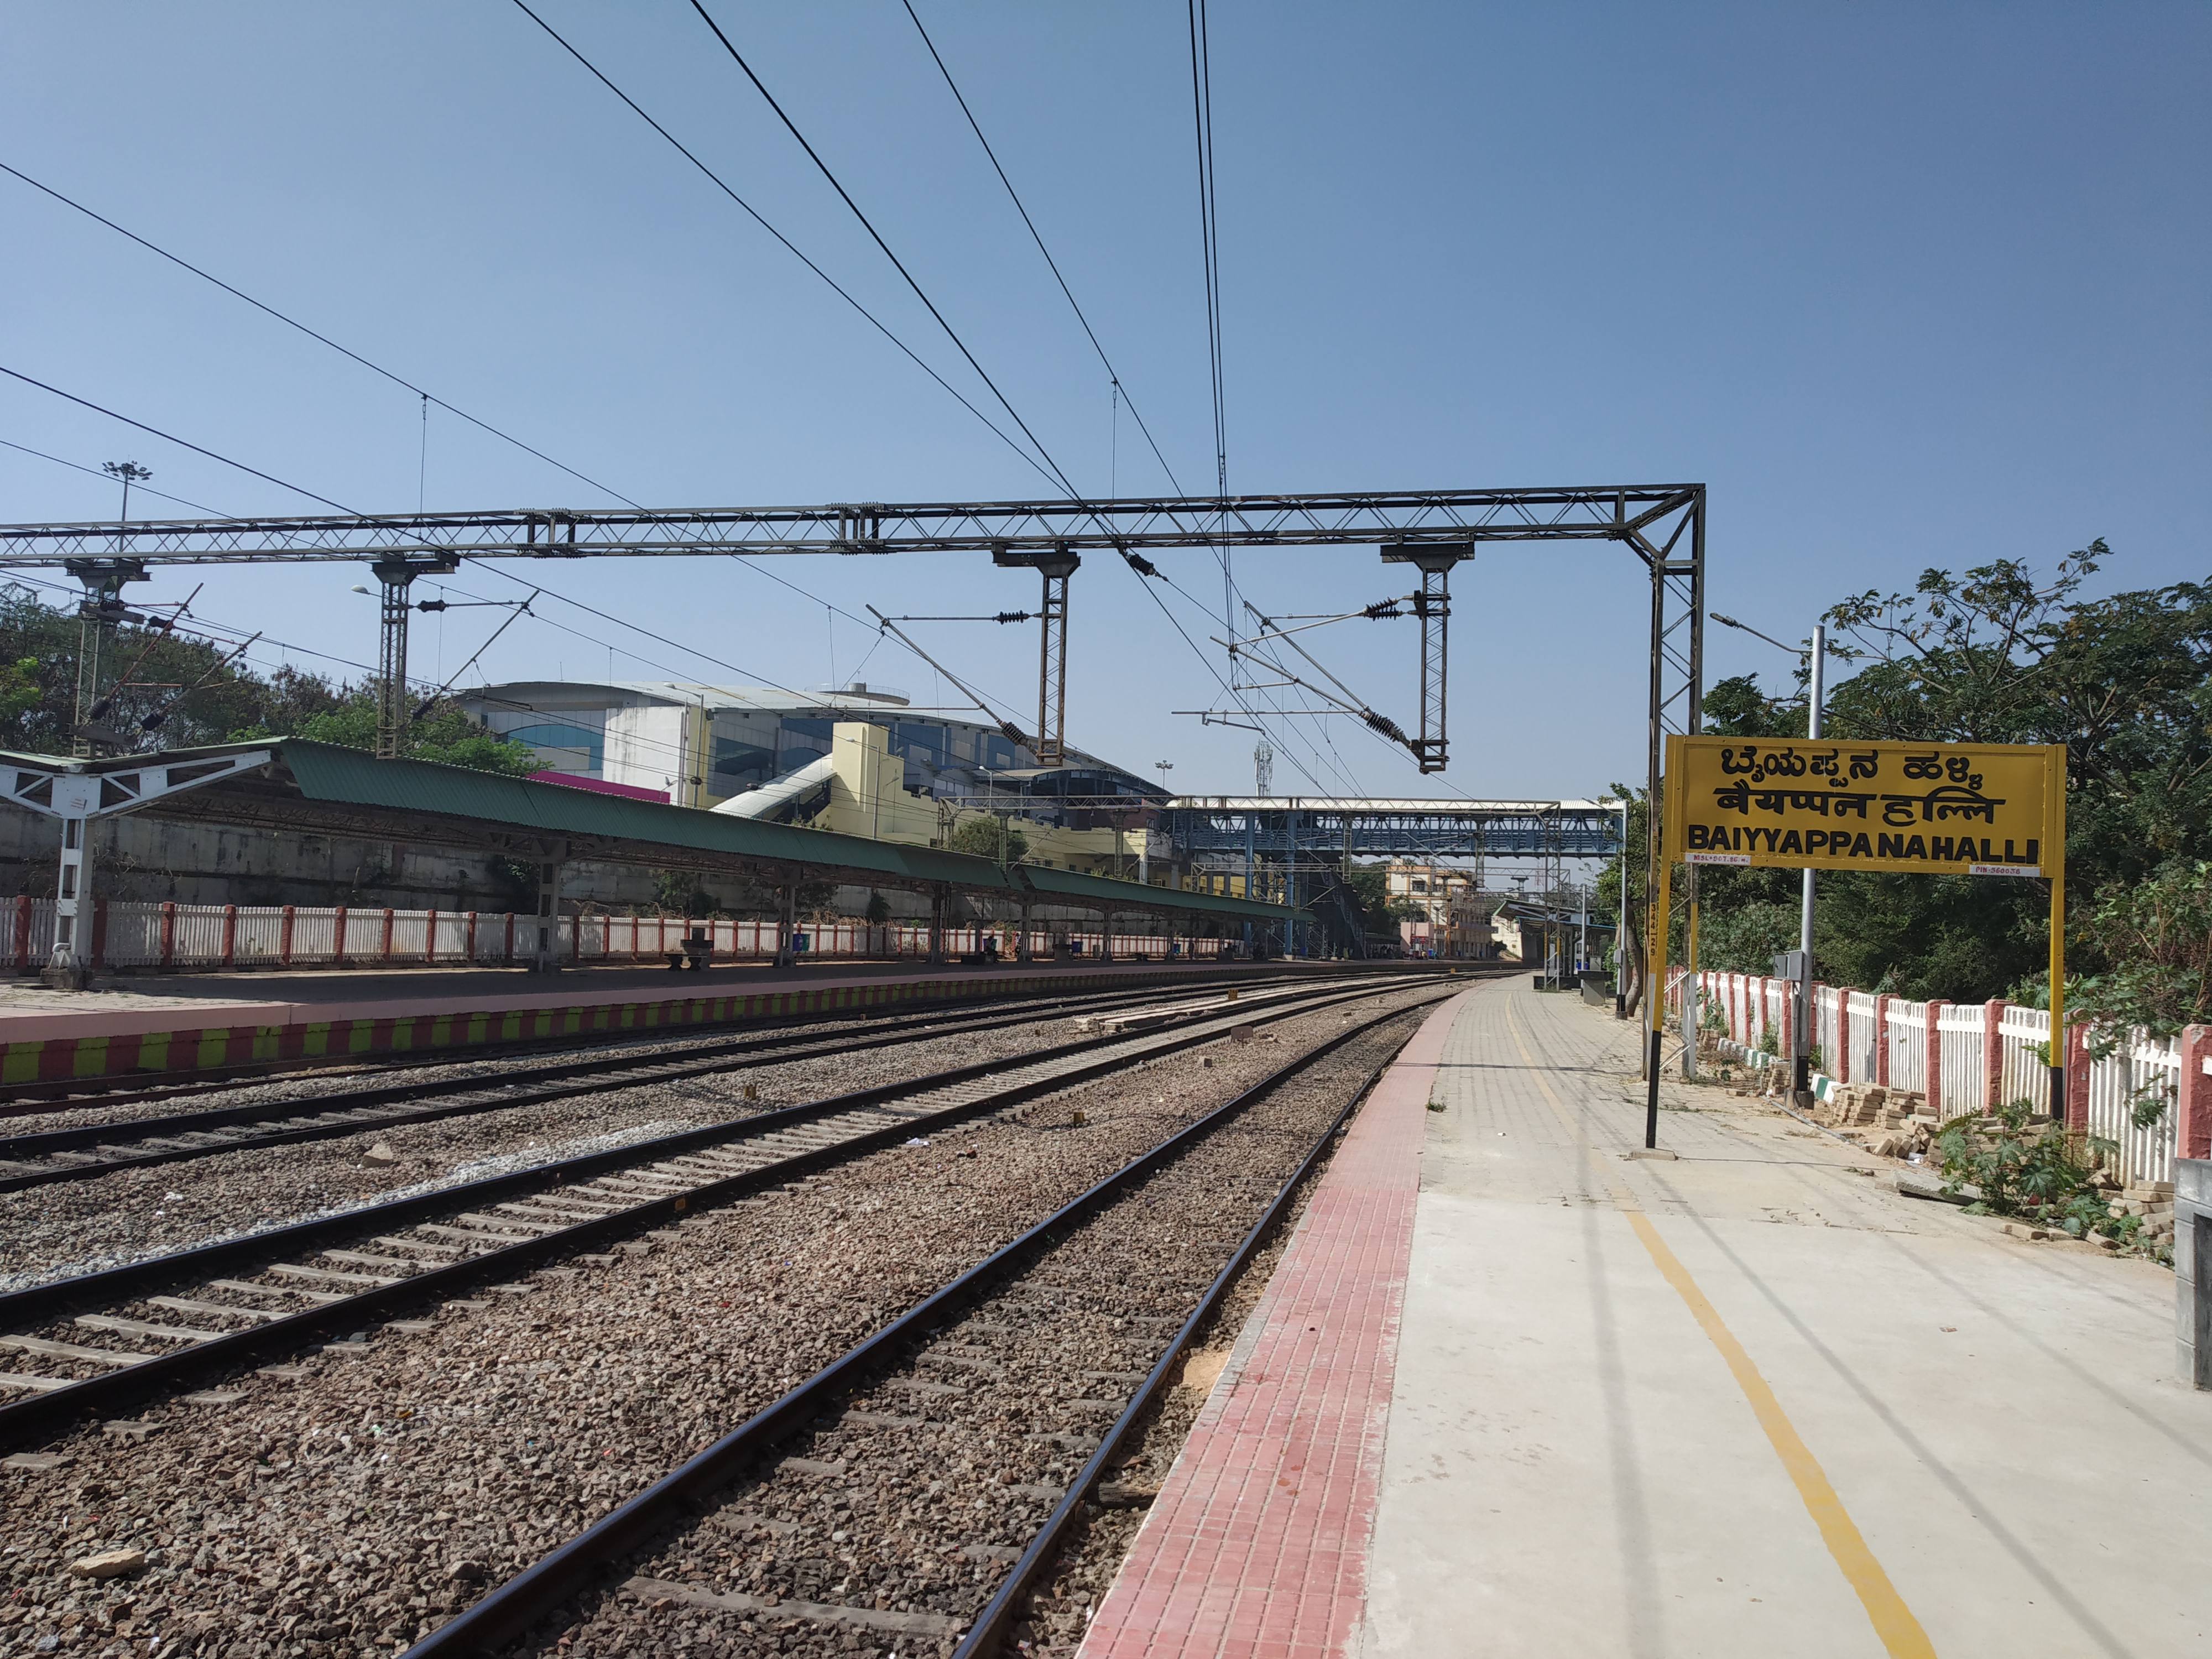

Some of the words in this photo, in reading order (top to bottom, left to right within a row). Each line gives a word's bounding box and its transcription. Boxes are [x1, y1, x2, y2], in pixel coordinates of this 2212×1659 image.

[1717, 741, 1884, 789] ಬೈಯಪ್ಪನ
[1899, 748, 1983, 794] ಹಳ್ಳಿ
[1711, 774, 1879, 821] बैयप्पन
[1881, 779, 2008, 830] हल्लि
[1689, 852, 1750, 865] MSL+907.8G.M.
[1685, 821, 1876, 859] BAIYYAPPA
[1874, 830, 2041, 866] NAHALLI
[1974, 864, 2023, 878] PIN-360038